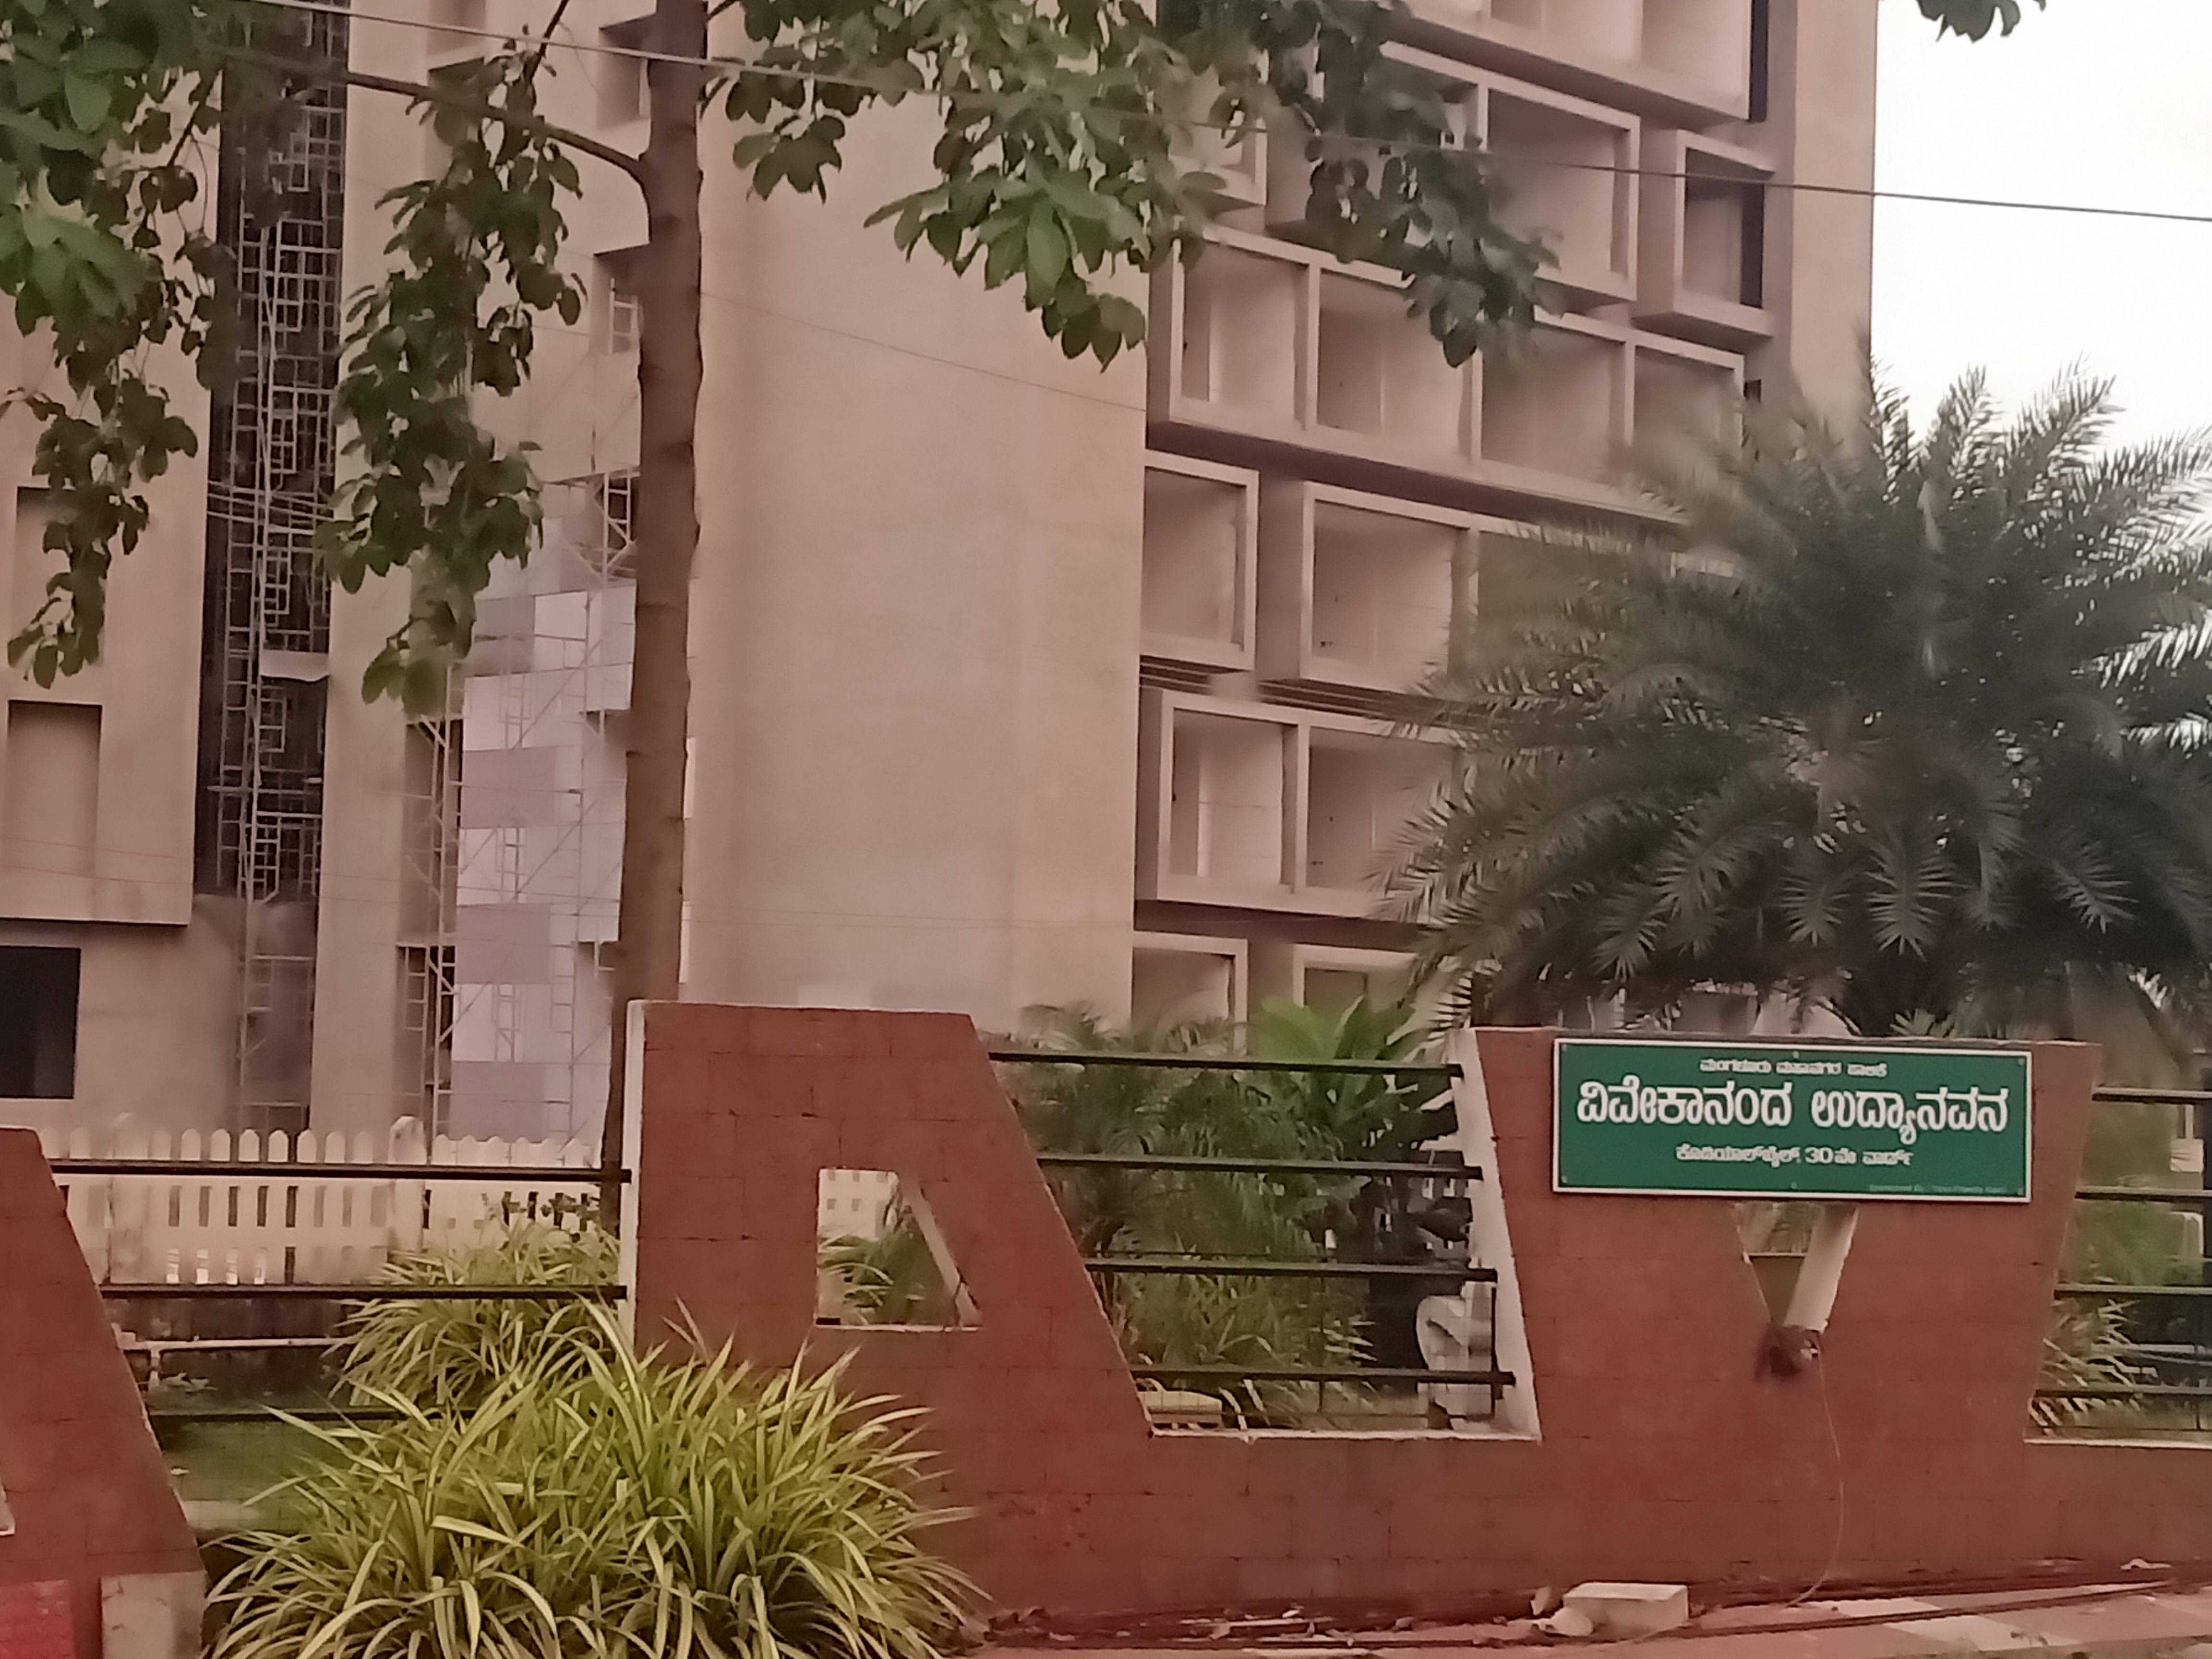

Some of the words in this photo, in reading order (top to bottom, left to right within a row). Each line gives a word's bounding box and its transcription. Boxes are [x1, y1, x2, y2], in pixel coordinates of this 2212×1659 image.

[1696, 1052, 1774, 1078] ಮಂಗಳೂರು
[1770, 1059, 1844, 1081] ದುಸಾನಗರ
[1842, 1061, 1891, 1083] ಹಾಲರ
[1571, 1070, 1797, 1129] ಐವೇಕಾನಂದ
[1809, 1081, 2012, 1149] ಉದ್ಯಾನವನ
[1671, 1138, 1805, 1169] ಕೊಡಿಯಾಲ್‌ ಬೈಲ್
[1801, 1145, 1861, 1170] 30ನೇ
[1860, 1145, 1915, 1170] ವಾಡ್೯